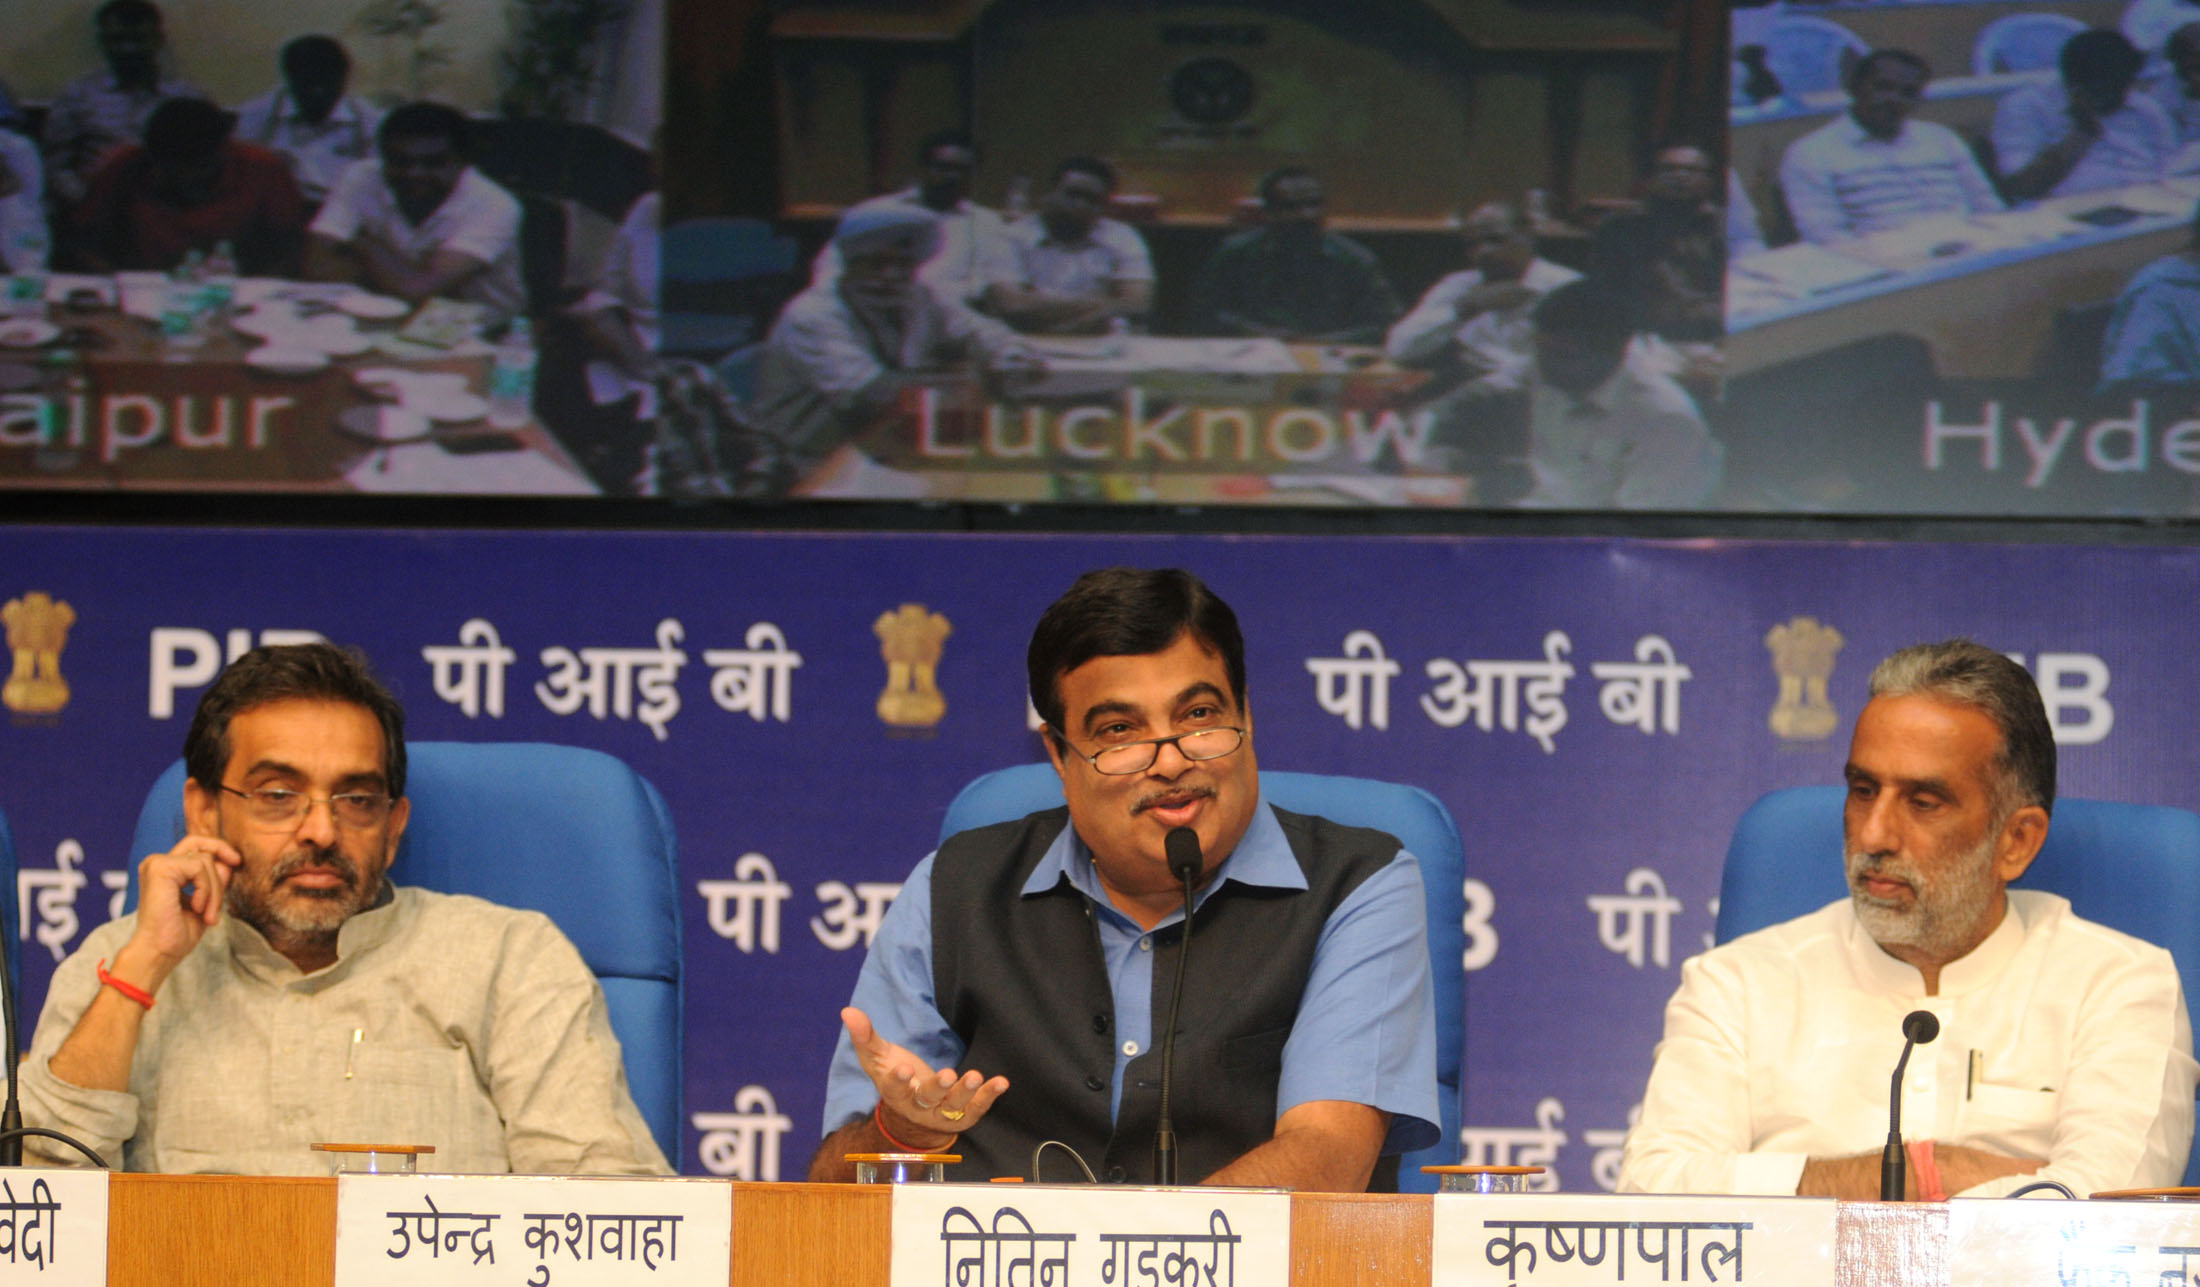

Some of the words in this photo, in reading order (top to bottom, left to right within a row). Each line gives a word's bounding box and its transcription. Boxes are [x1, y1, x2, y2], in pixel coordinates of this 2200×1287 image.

[1908, 374, 2181, 497] Hyd
[418, 604, 519, 725] पी
[526, 609, 690, 745] आईं
[694, 614, 809, 727] बी
[1294, 624, 1410, 738] पी
[1414, 616, 1578, 757] आई
[1587, 630, 1695, 743] बी
[690, 844, 802, 970] पी
[1566, 852, 1686, 976] पी
[380, 1189, 499, 1268] उपेन्द्र
[521, 1207, 690, 1285] कुशवाहा
[929, 1196, 1078, 1286] नितिन
[1097, 1200, 1246, 1285] गडकरी
[1482, 1215, 1757, 1286] कष्णपाल